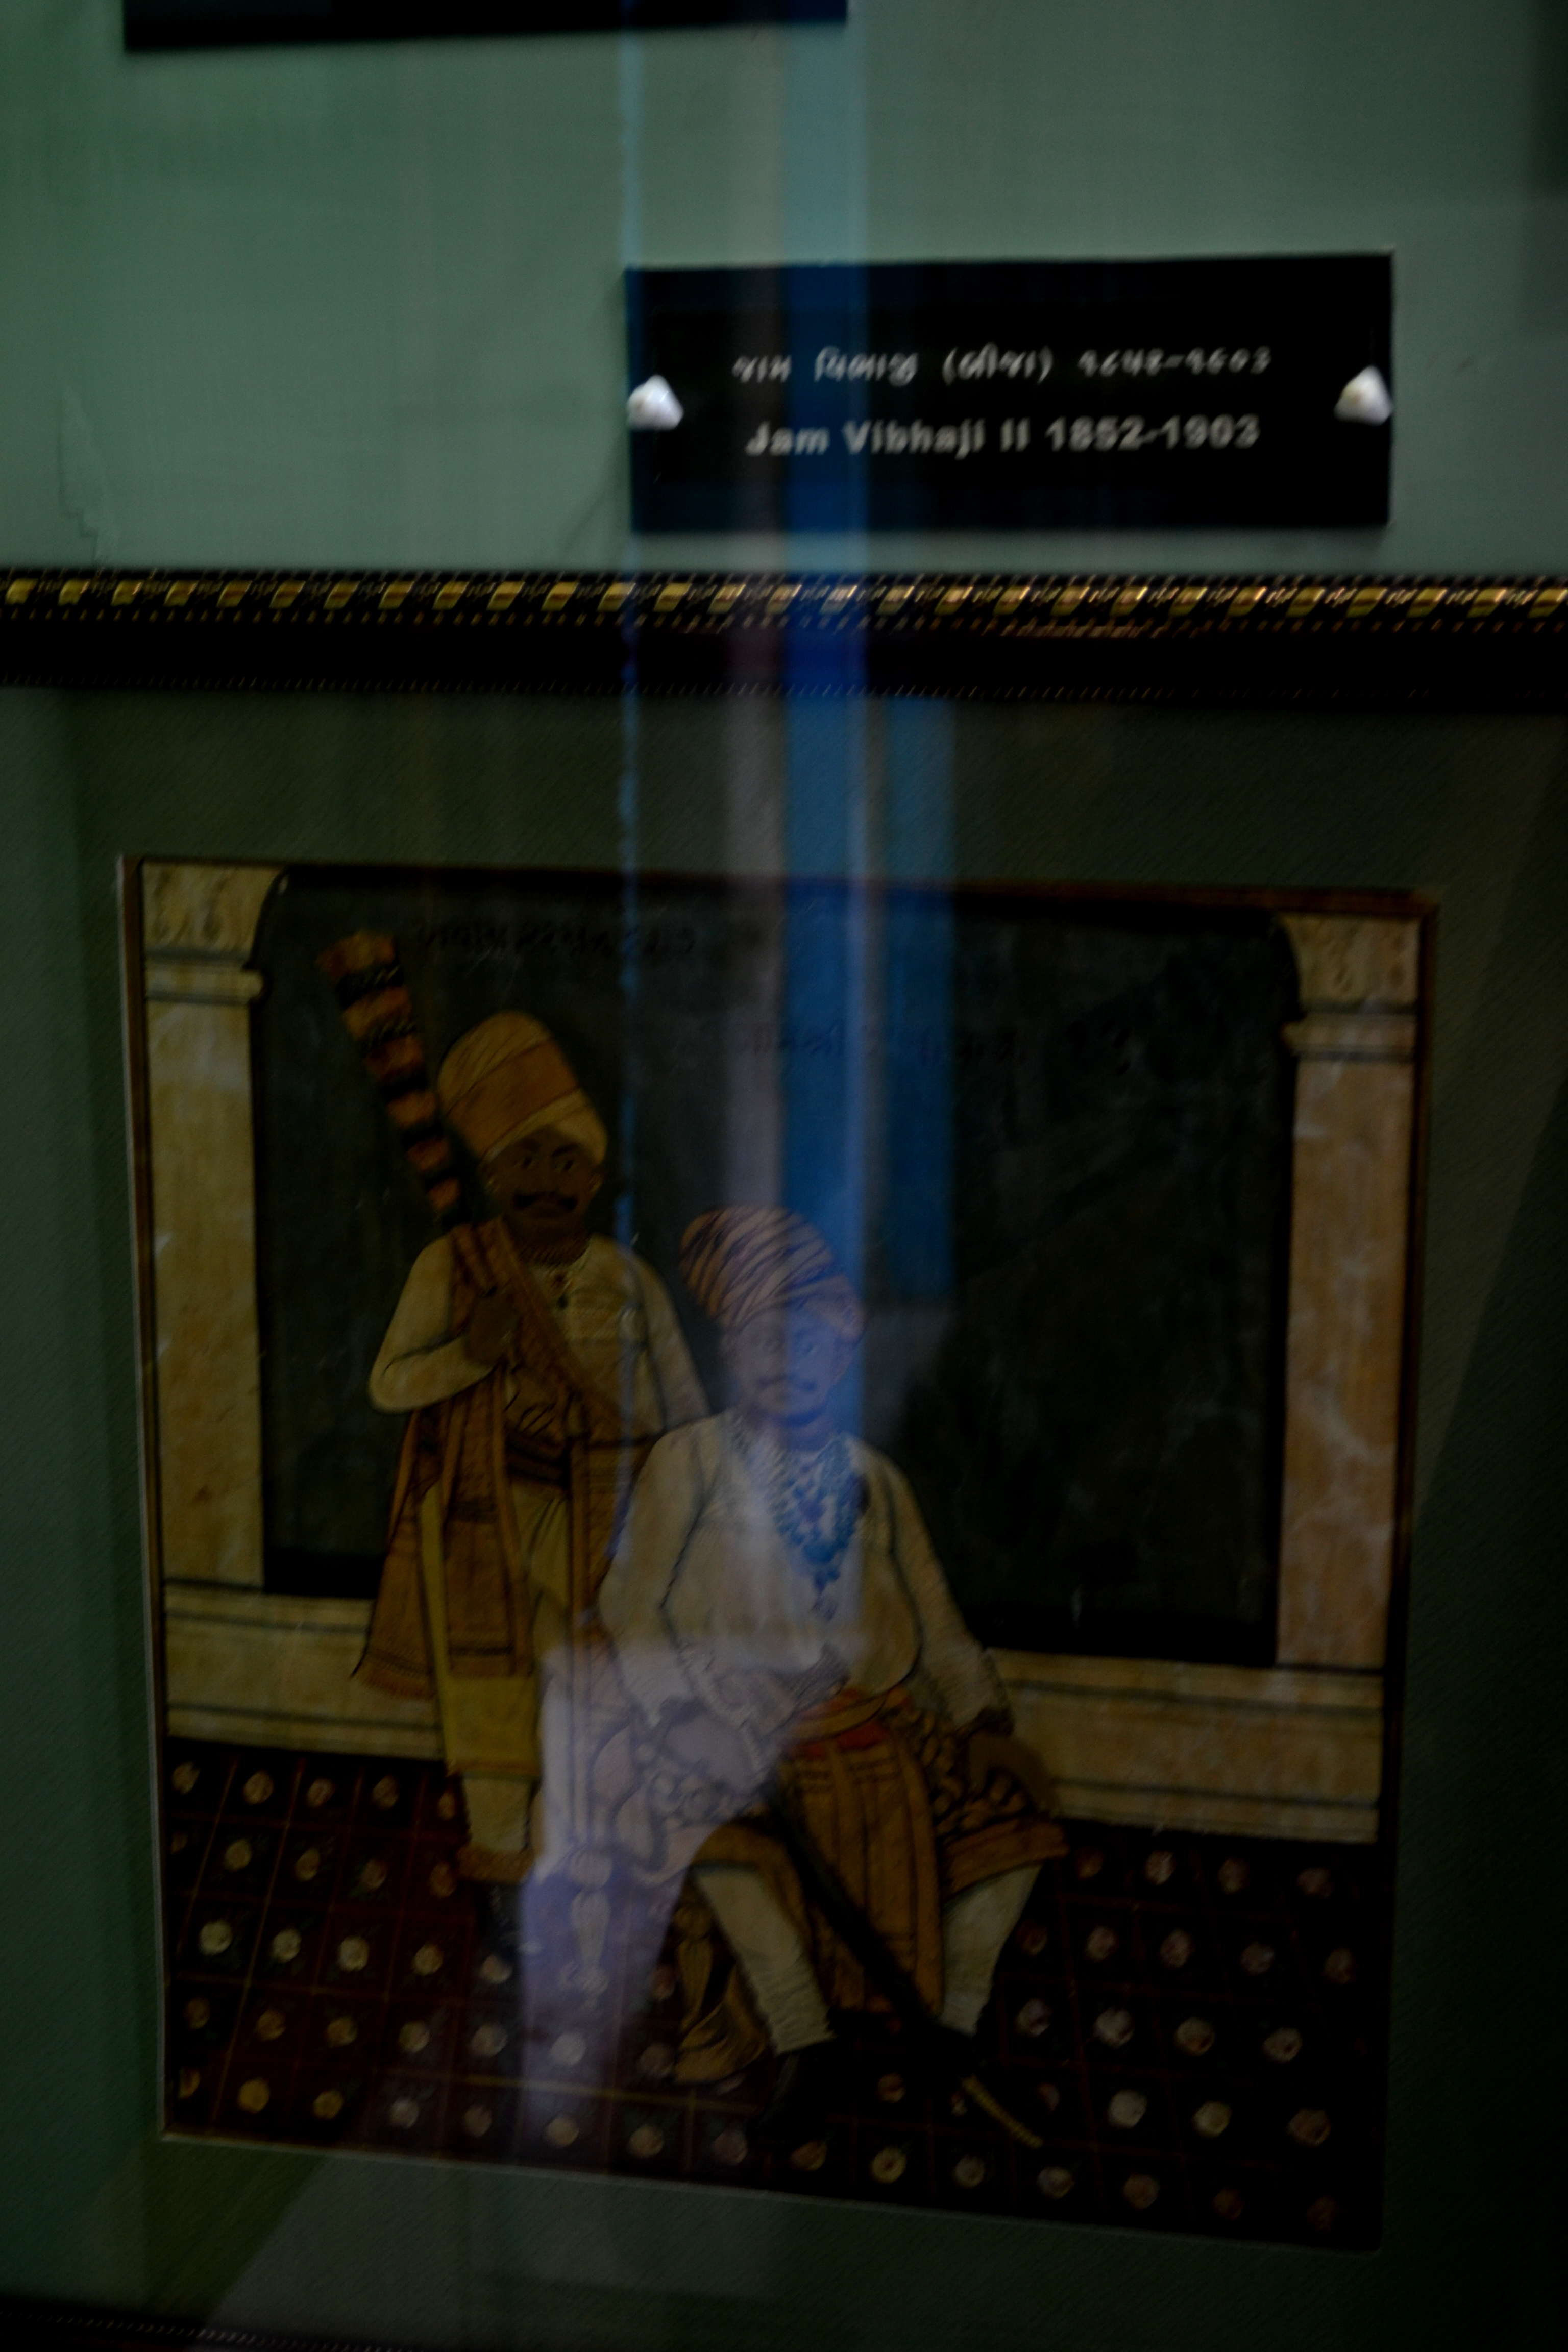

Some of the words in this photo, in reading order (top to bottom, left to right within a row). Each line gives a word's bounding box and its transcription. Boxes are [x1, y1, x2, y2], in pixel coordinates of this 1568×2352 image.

[728, 349, 791, 386] જામ
[810, 345, 914, 386] વિભાજી
[938, 340, 1052, 386] (બીજા)
[1078, 342, 1267, 378] ૧૮૫૨-૧૯0૩
[744, 416, 826, 460] Jam
[848, 409, 984, 460] Vibhaji
[1042, 407, 1259, 452] 1852-1903